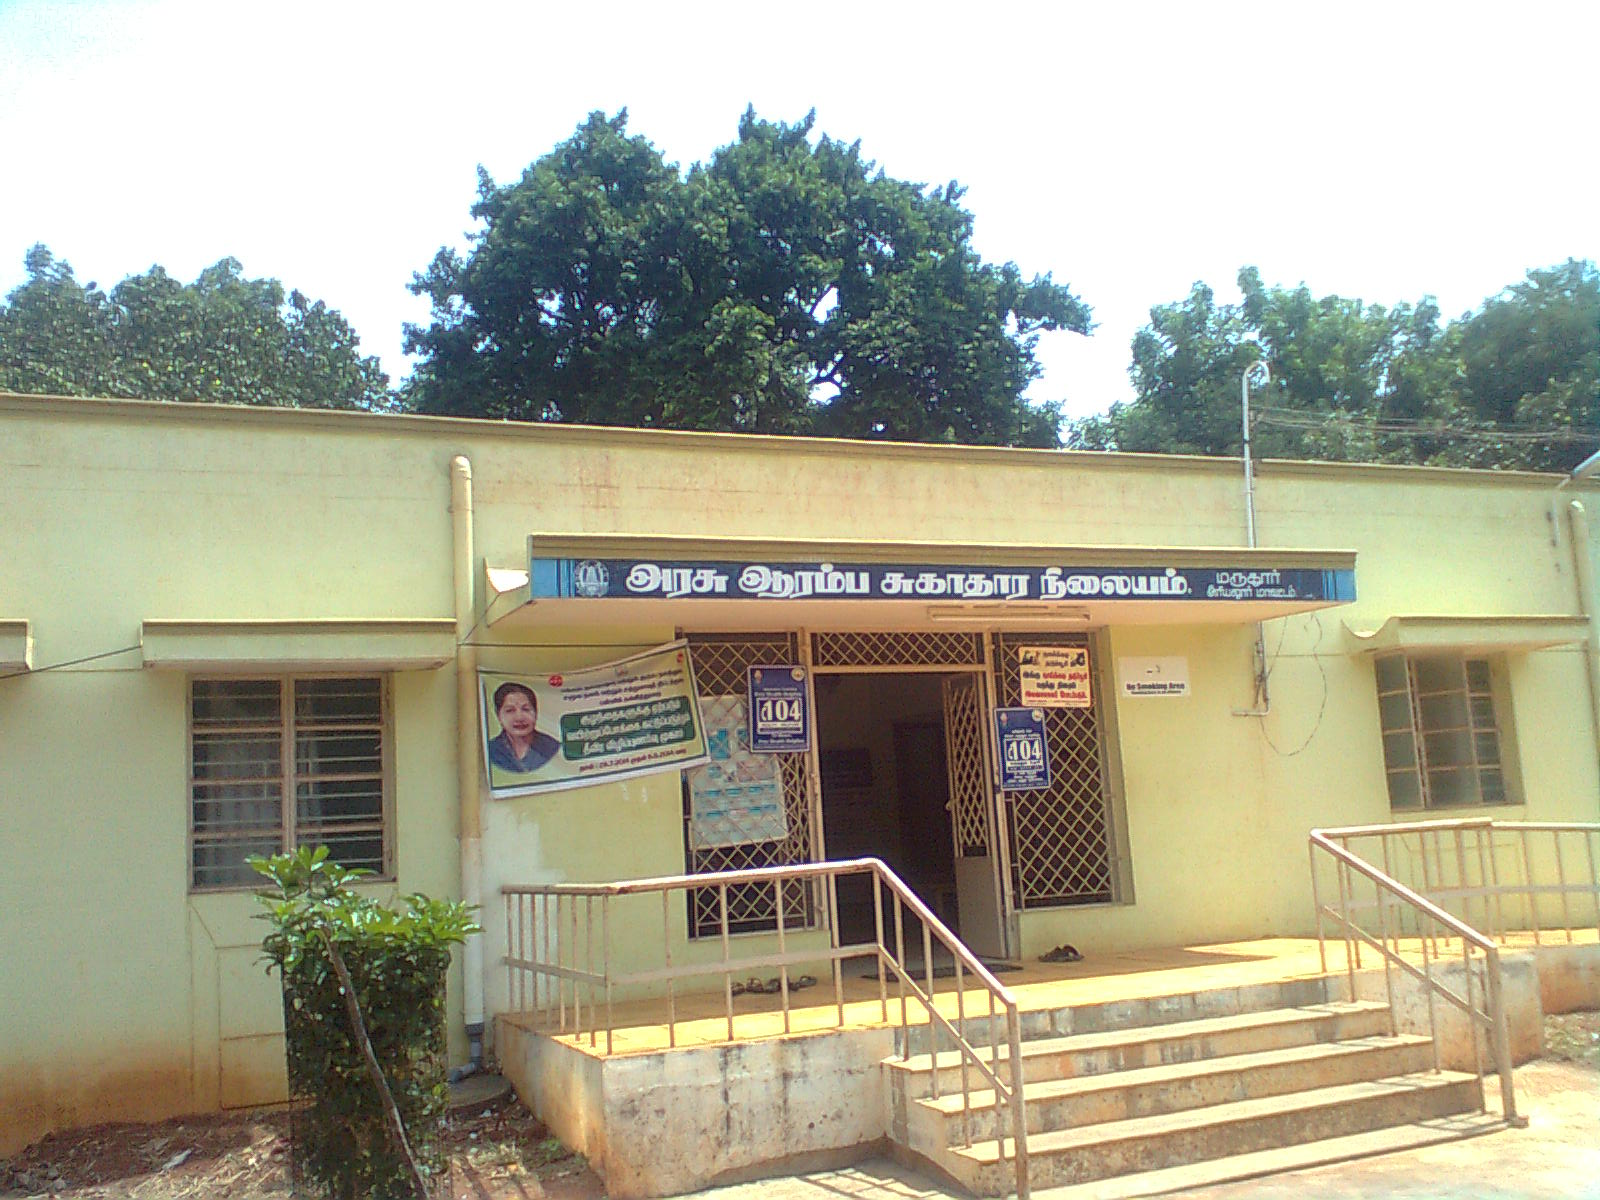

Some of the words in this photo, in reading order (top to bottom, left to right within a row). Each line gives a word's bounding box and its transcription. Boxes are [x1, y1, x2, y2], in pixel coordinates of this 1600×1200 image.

[621, 555, 737, 603] அரசு
[733, 557, 874, 603] ஆரம்ப
[875, 565, 1033, 604] ககாதார
[1031, 557, 1197, 603] நிலையம்.
[1212, 564, 1289, 595] மருதூா்